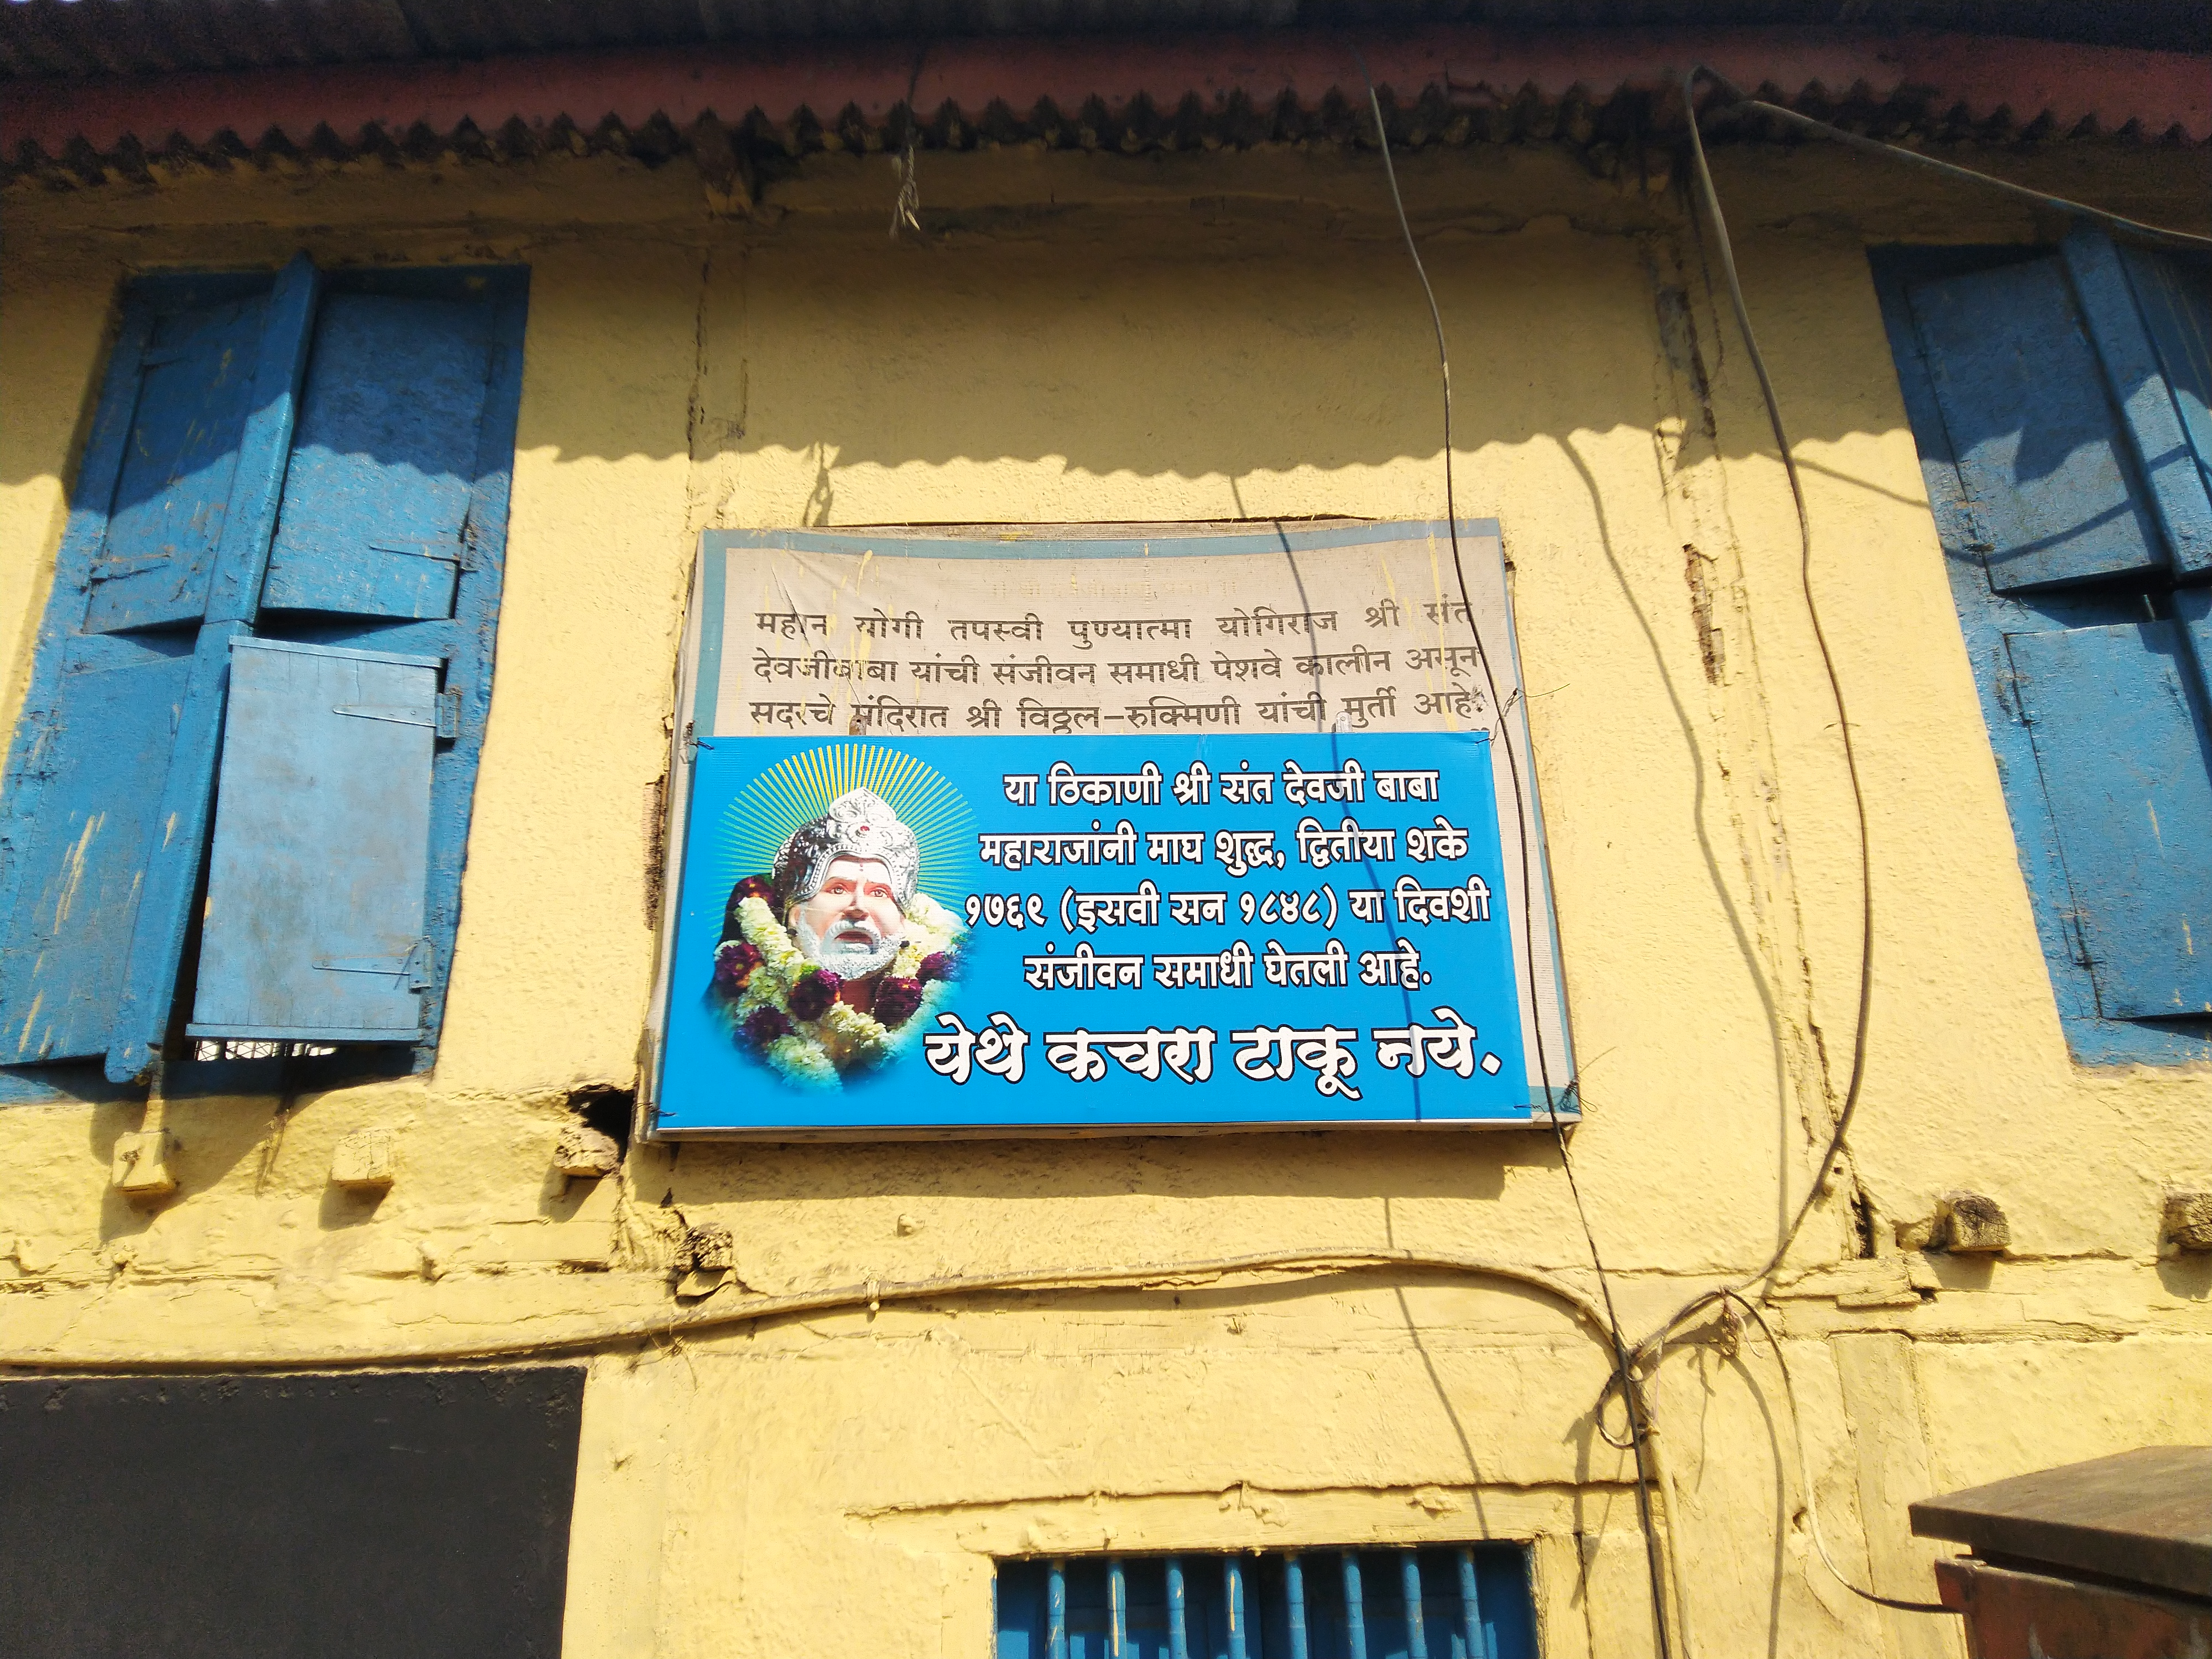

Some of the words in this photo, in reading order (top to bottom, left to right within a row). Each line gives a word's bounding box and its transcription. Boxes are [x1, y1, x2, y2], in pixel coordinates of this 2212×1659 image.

[745, 608, 834, 644] महान
[847, 602, 927, 647] योगी
[942, 607, 1047, 649] तपस्वी
[1060, 611, 1202, 654] पुण्यात्मा
[1211, 599, 1343, 639] योगिराज
[1357, 592, 1409, 635] श्री
[1416, 584, 1479, 636] संत
[744, 644, 904, 690] देवजीबाबा
[907, 649, 981, 694] यांची
[986, 650, 1103, 692] संजीवन
[1106, 647, 1202, 690] समाधी
[1206, 643, 1290, 687] पेशवे
[1289, 640, 1403, 684] कालीन
[1401, 638, 1481, 684] असून
[741, 688, 848, 734] सदरचे
[844, 689, 959, 734] मंदिरात
[966, 694, 1004, 733] श्री
[1011, 690, 1248, 735] विठ्ठल-रुक्मिणी
[1249, 683, 1329, 733] यांची
[1340, 681, 1398, 728] मुर्ती
[1406, 677, 1489, 728] आहे.
[995, 767, 1043, 812] या
[1043, 755, 1167, 811] ठिकाणी
[1166, 753, 1216, 812] श्री
[1215, 755, 1277, 812] संत
[1277, 750, 1373, 812] देवजी
[1369, 765, 1451, 810] बाबा
[971, 814, 1141, 878] महाराजांनी
[1141, 822, 1208, 873] माघ
[1206, 823, 1291, 884] शुद्ध,
[1293, 811, 1400, 870] द्वितीया
[1399, 807, 1477, 868] शके
[961, 883, 1052, 936] १७६९
[1053, 873, 1165, 940] (इसवी
[1162, 877, 1234, 938] सन
[1234, 875, 1342, 937] १८४८)
[1340, 881, 1391, 928] या
[1390, 866, 1500, 929] दिवशी
[1014, 938, 1149, 997] संजीवन
[1149, 936, 1259, 998] समाधी
[1256, 934, 1354, 997] घेतली
[1353, 935, 1443, 999] आहे.
[909, 1004, 1036, 1101] येथे
[1035, 1016, 1225, 1100] कचरा
[1224, 1016, 1370, 1106] टाकू
[1366, 999, 1507, 1086] नये.